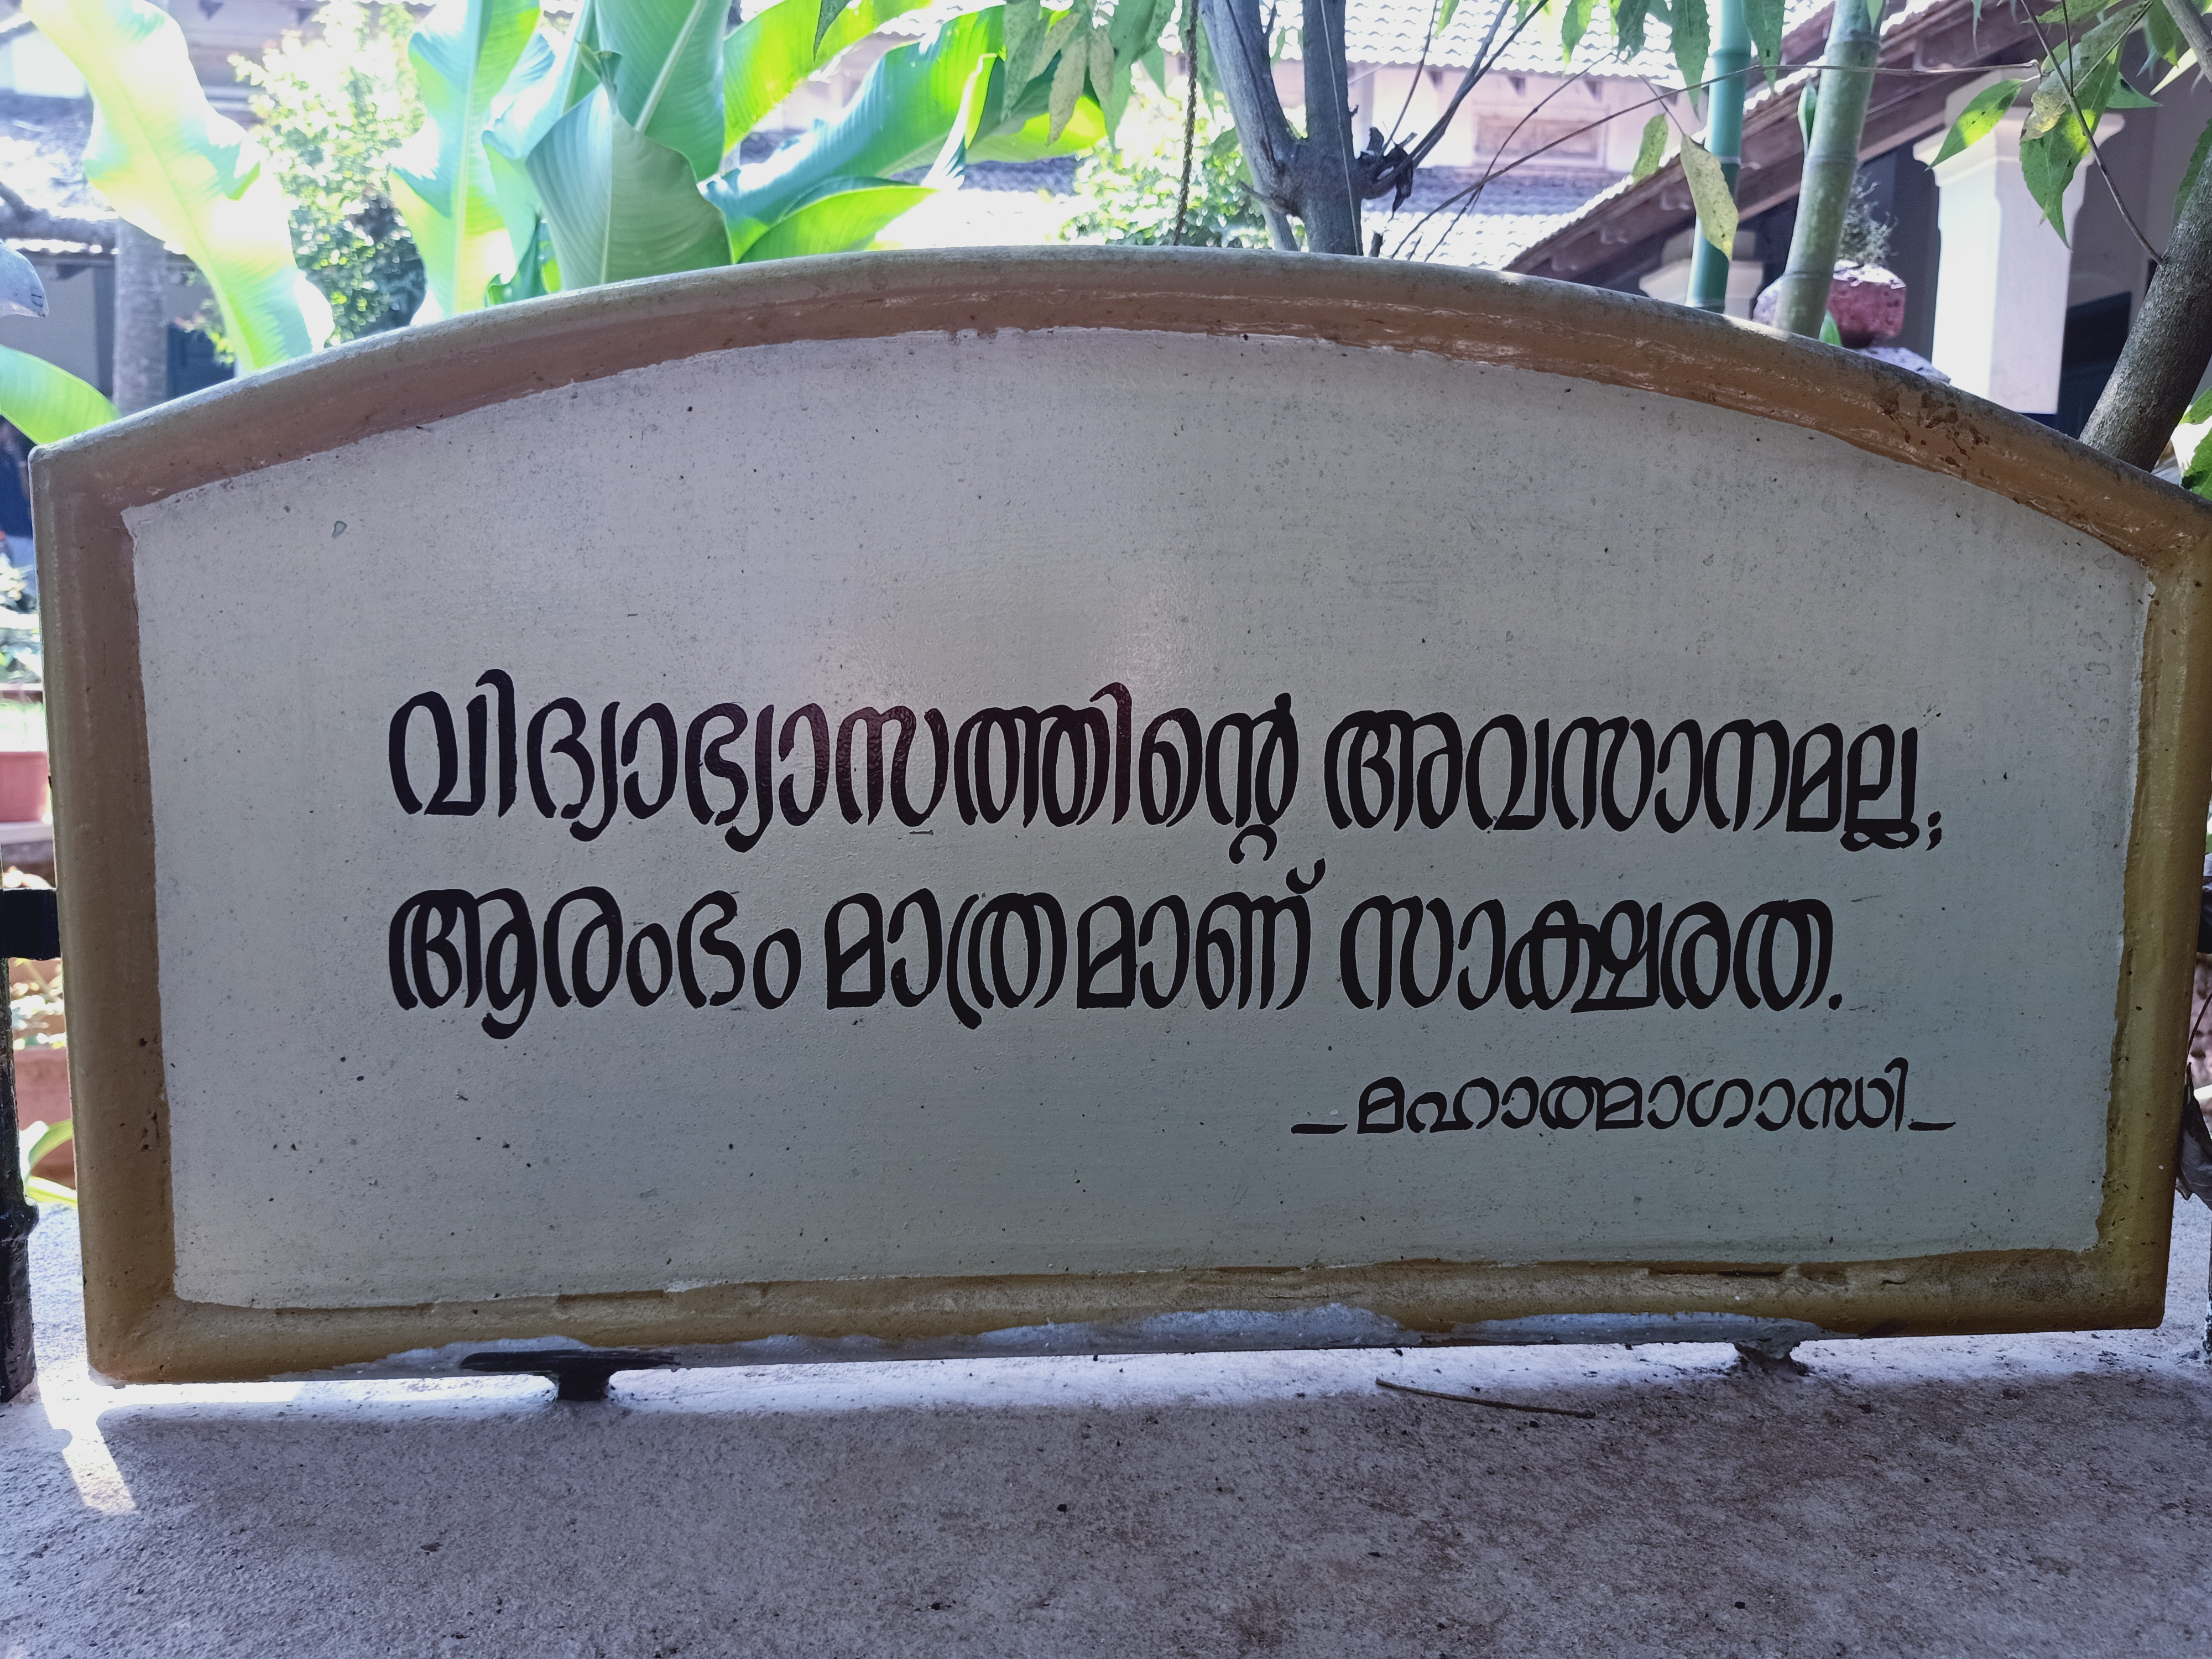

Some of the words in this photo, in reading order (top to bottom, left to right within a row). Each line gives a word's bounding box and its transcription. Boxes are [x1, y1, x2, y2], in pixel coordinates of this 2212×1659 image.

[379, 659, 1304, 869] വിദ്യാഭ്യാസത്തിൻ്റെ
[1315, 706, 1926, 856] അവസാനമല്ല
[368, 878, 812, 1046] ആരംഭം
[818, 848, 1333, 1034] ദാത്രമാണ്
[1331, 888, 1848, 1016] സാക്ഷരത
[1352, 1042, 1914, 1140] മഹാത്മാഗാന്ധി